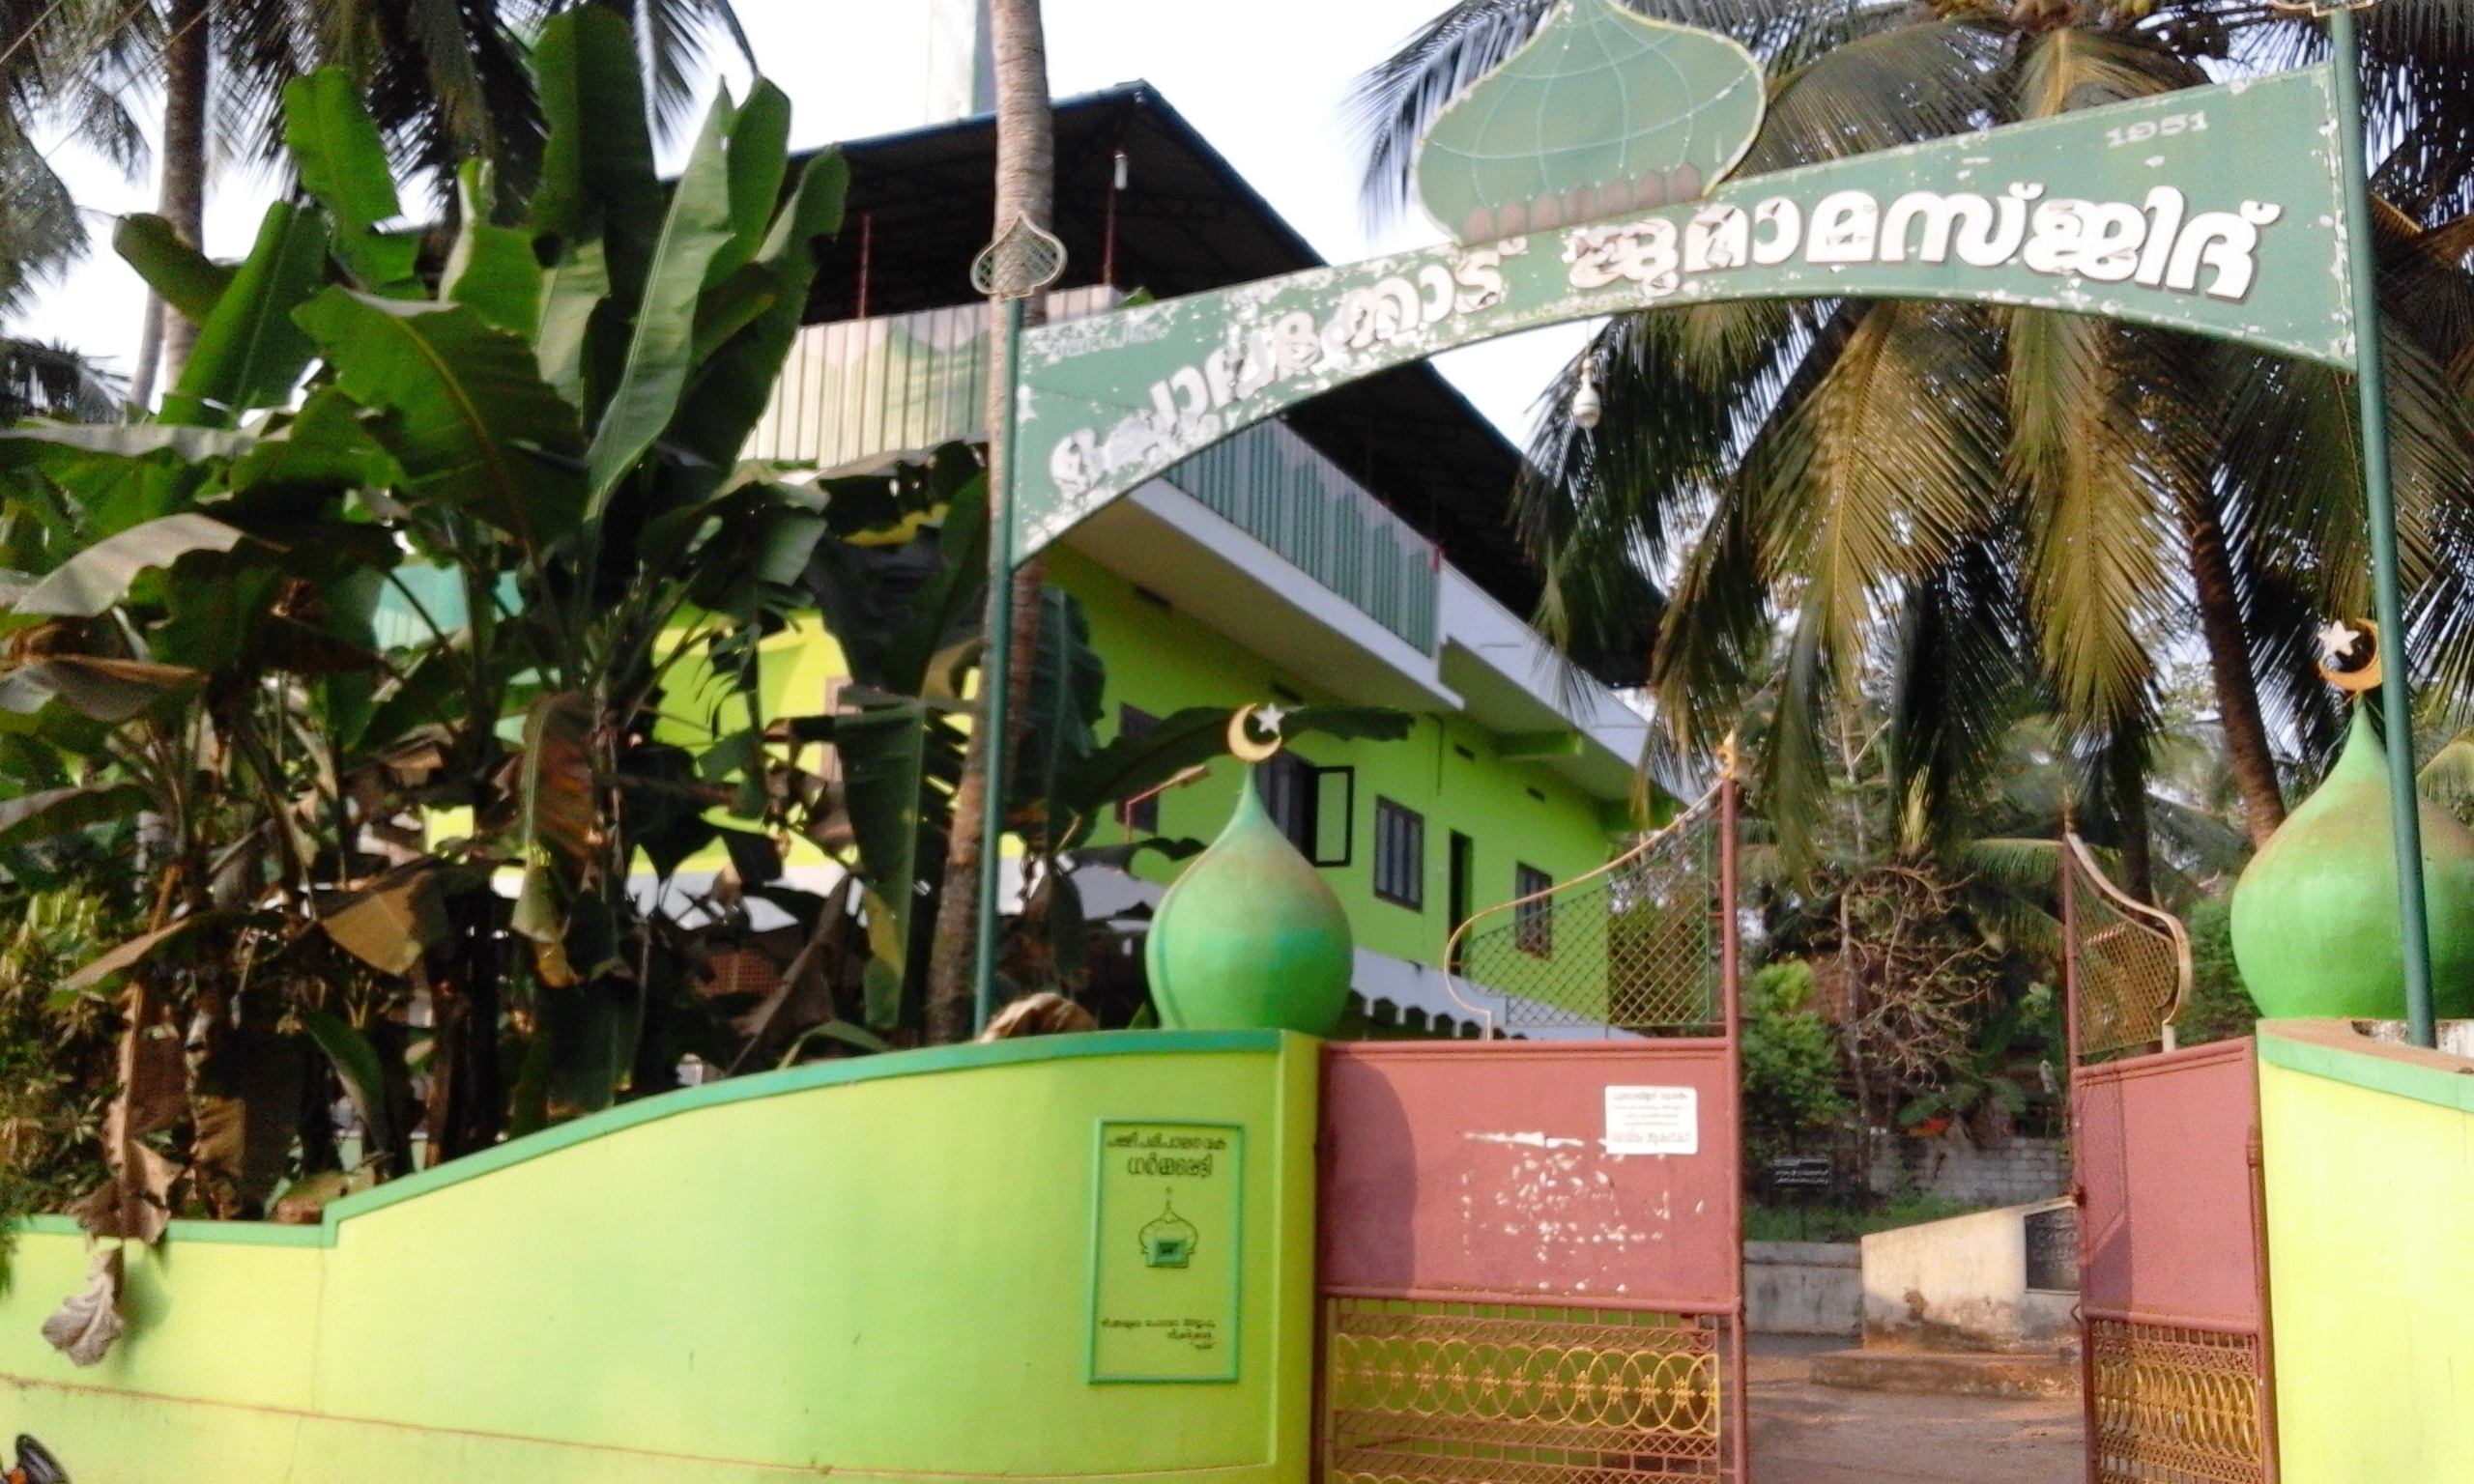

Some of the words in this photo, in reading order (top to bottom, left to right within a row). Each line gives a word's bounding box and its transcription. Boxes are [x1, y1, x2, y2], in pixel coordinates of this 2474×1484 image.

[1557, 168, 2288, 308] ജമാമസ്‌ജിദ്
[1119, 1144, 1219, 1183] ധർമ്മലെടി